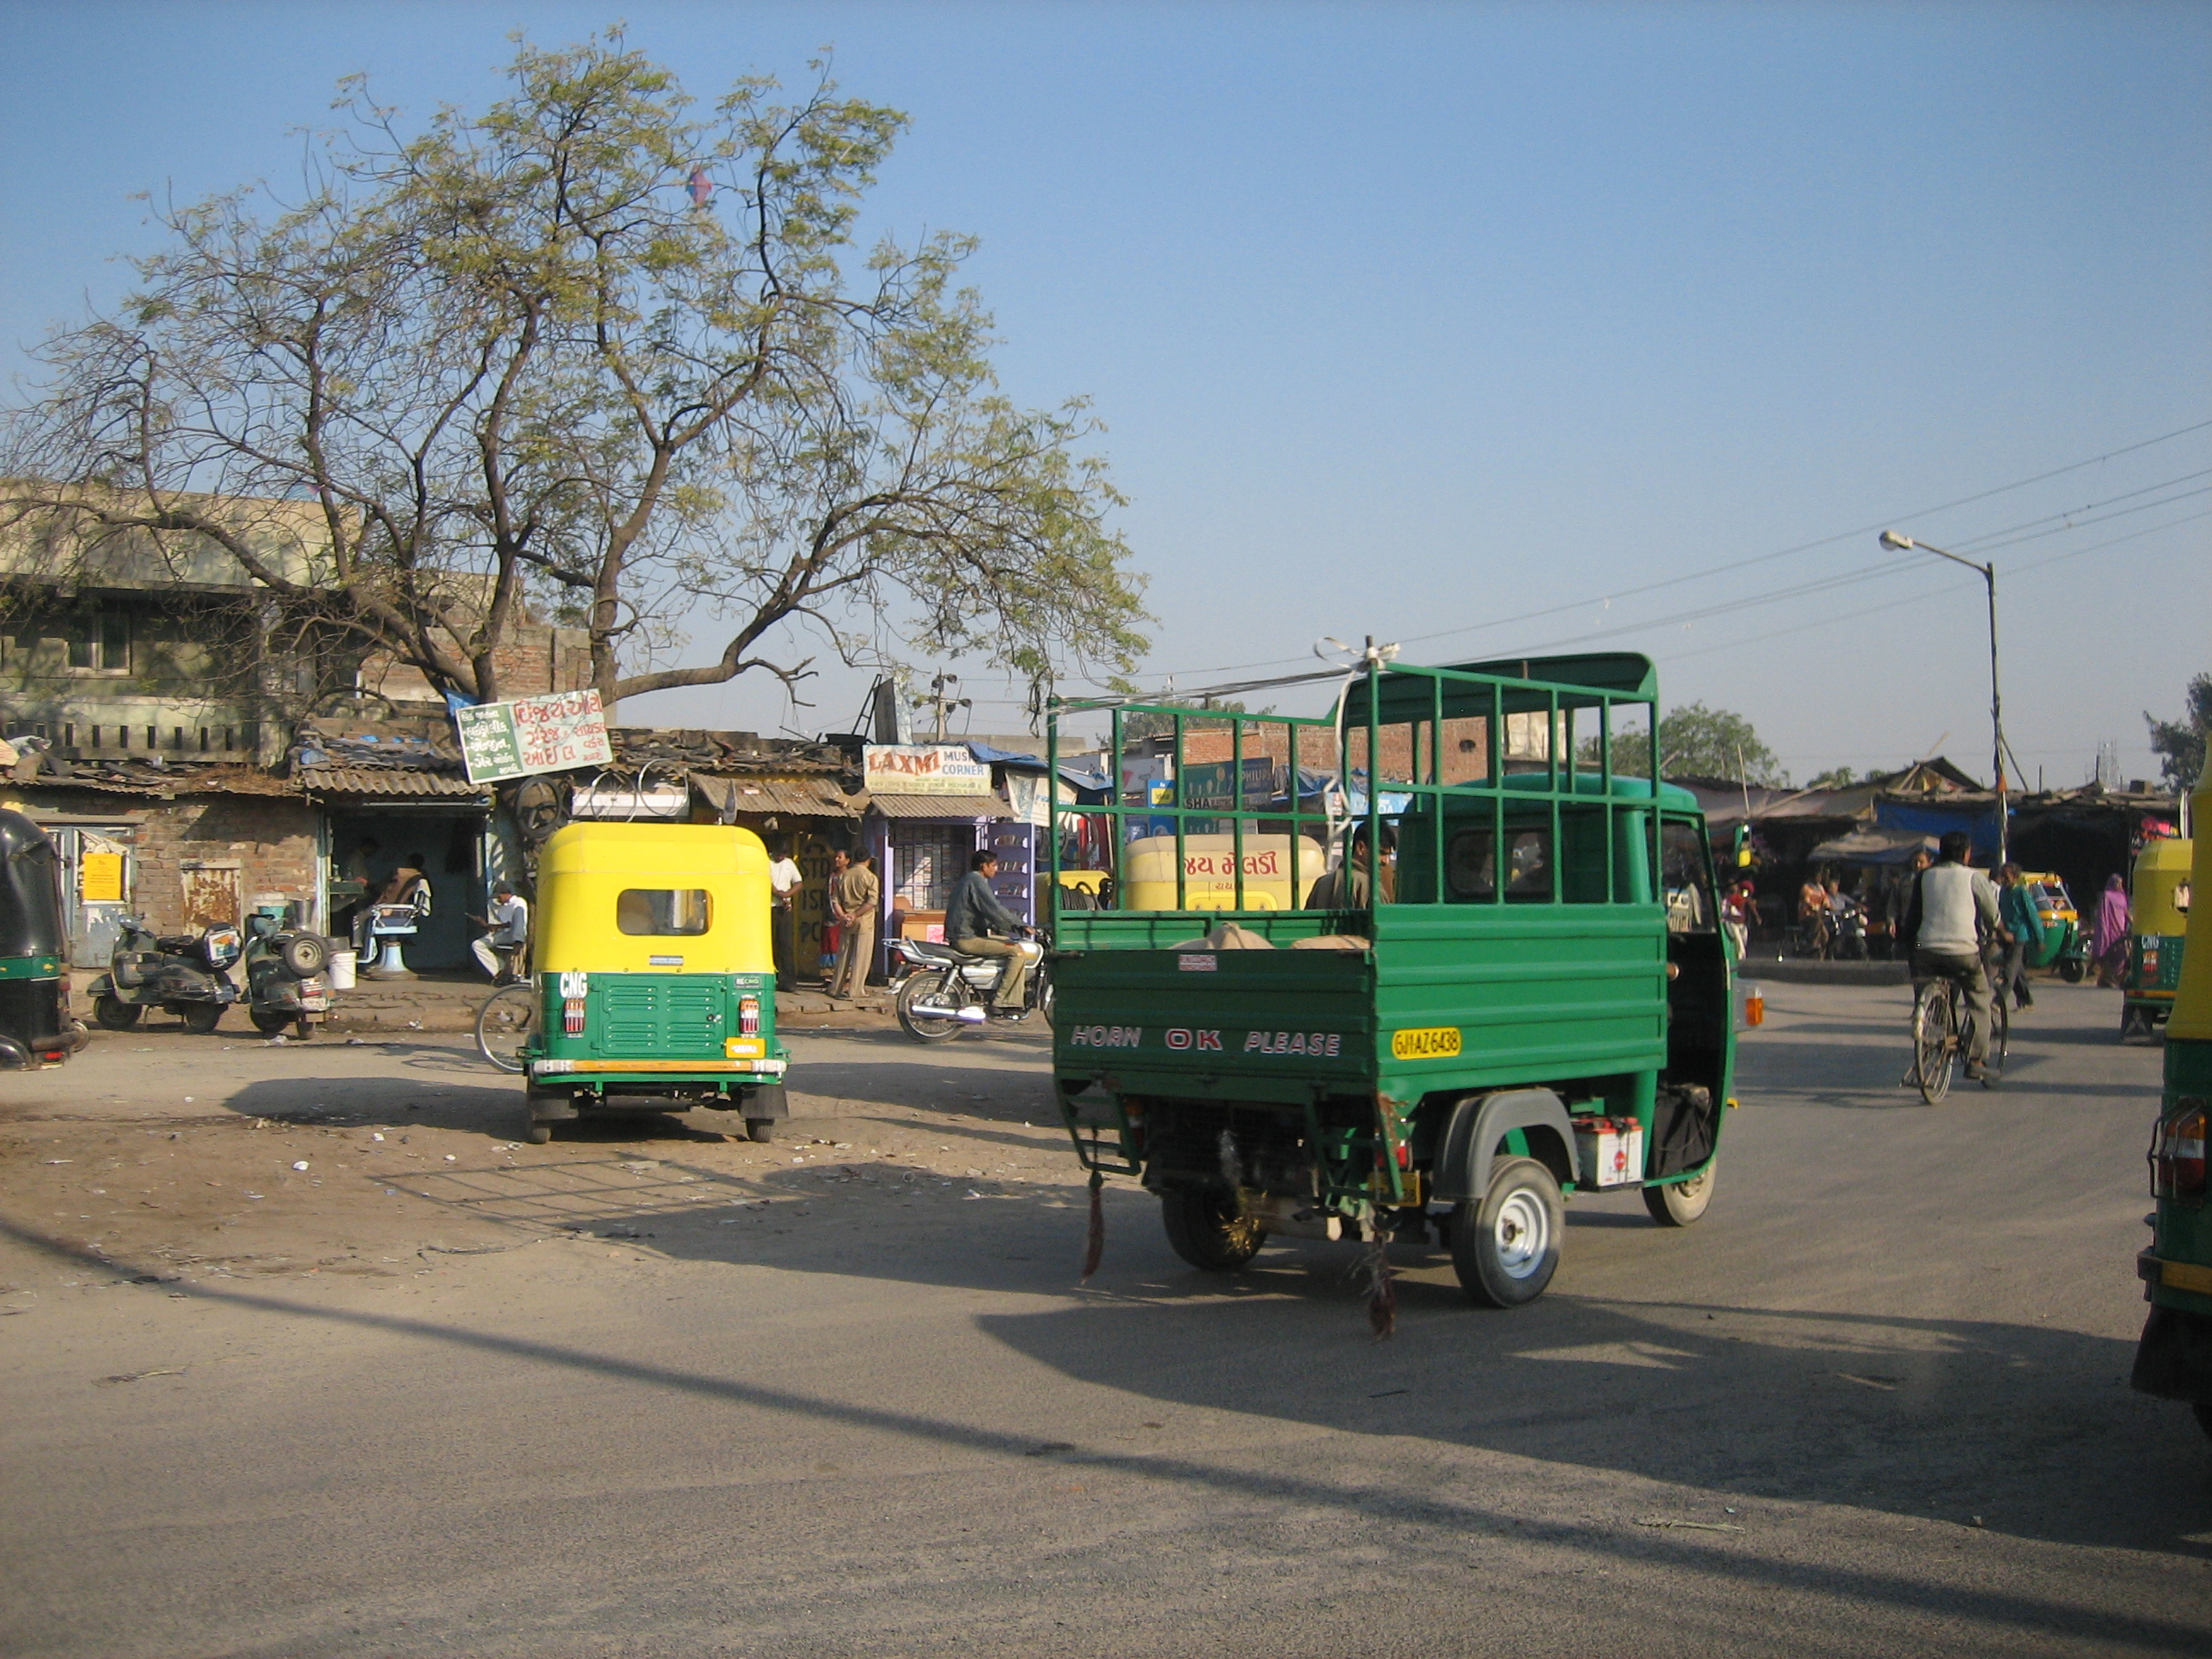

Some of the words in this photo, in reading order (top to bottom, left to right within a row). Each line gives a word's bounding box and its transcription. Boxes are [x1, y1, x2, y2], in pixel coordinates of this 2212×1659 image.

[1160, 1022, 1229, 1055] OK
[1240, 1026, 1340, 1057] PLEASE
[1398, 1030, 1458, 1055] GJ-1-AZ-6438